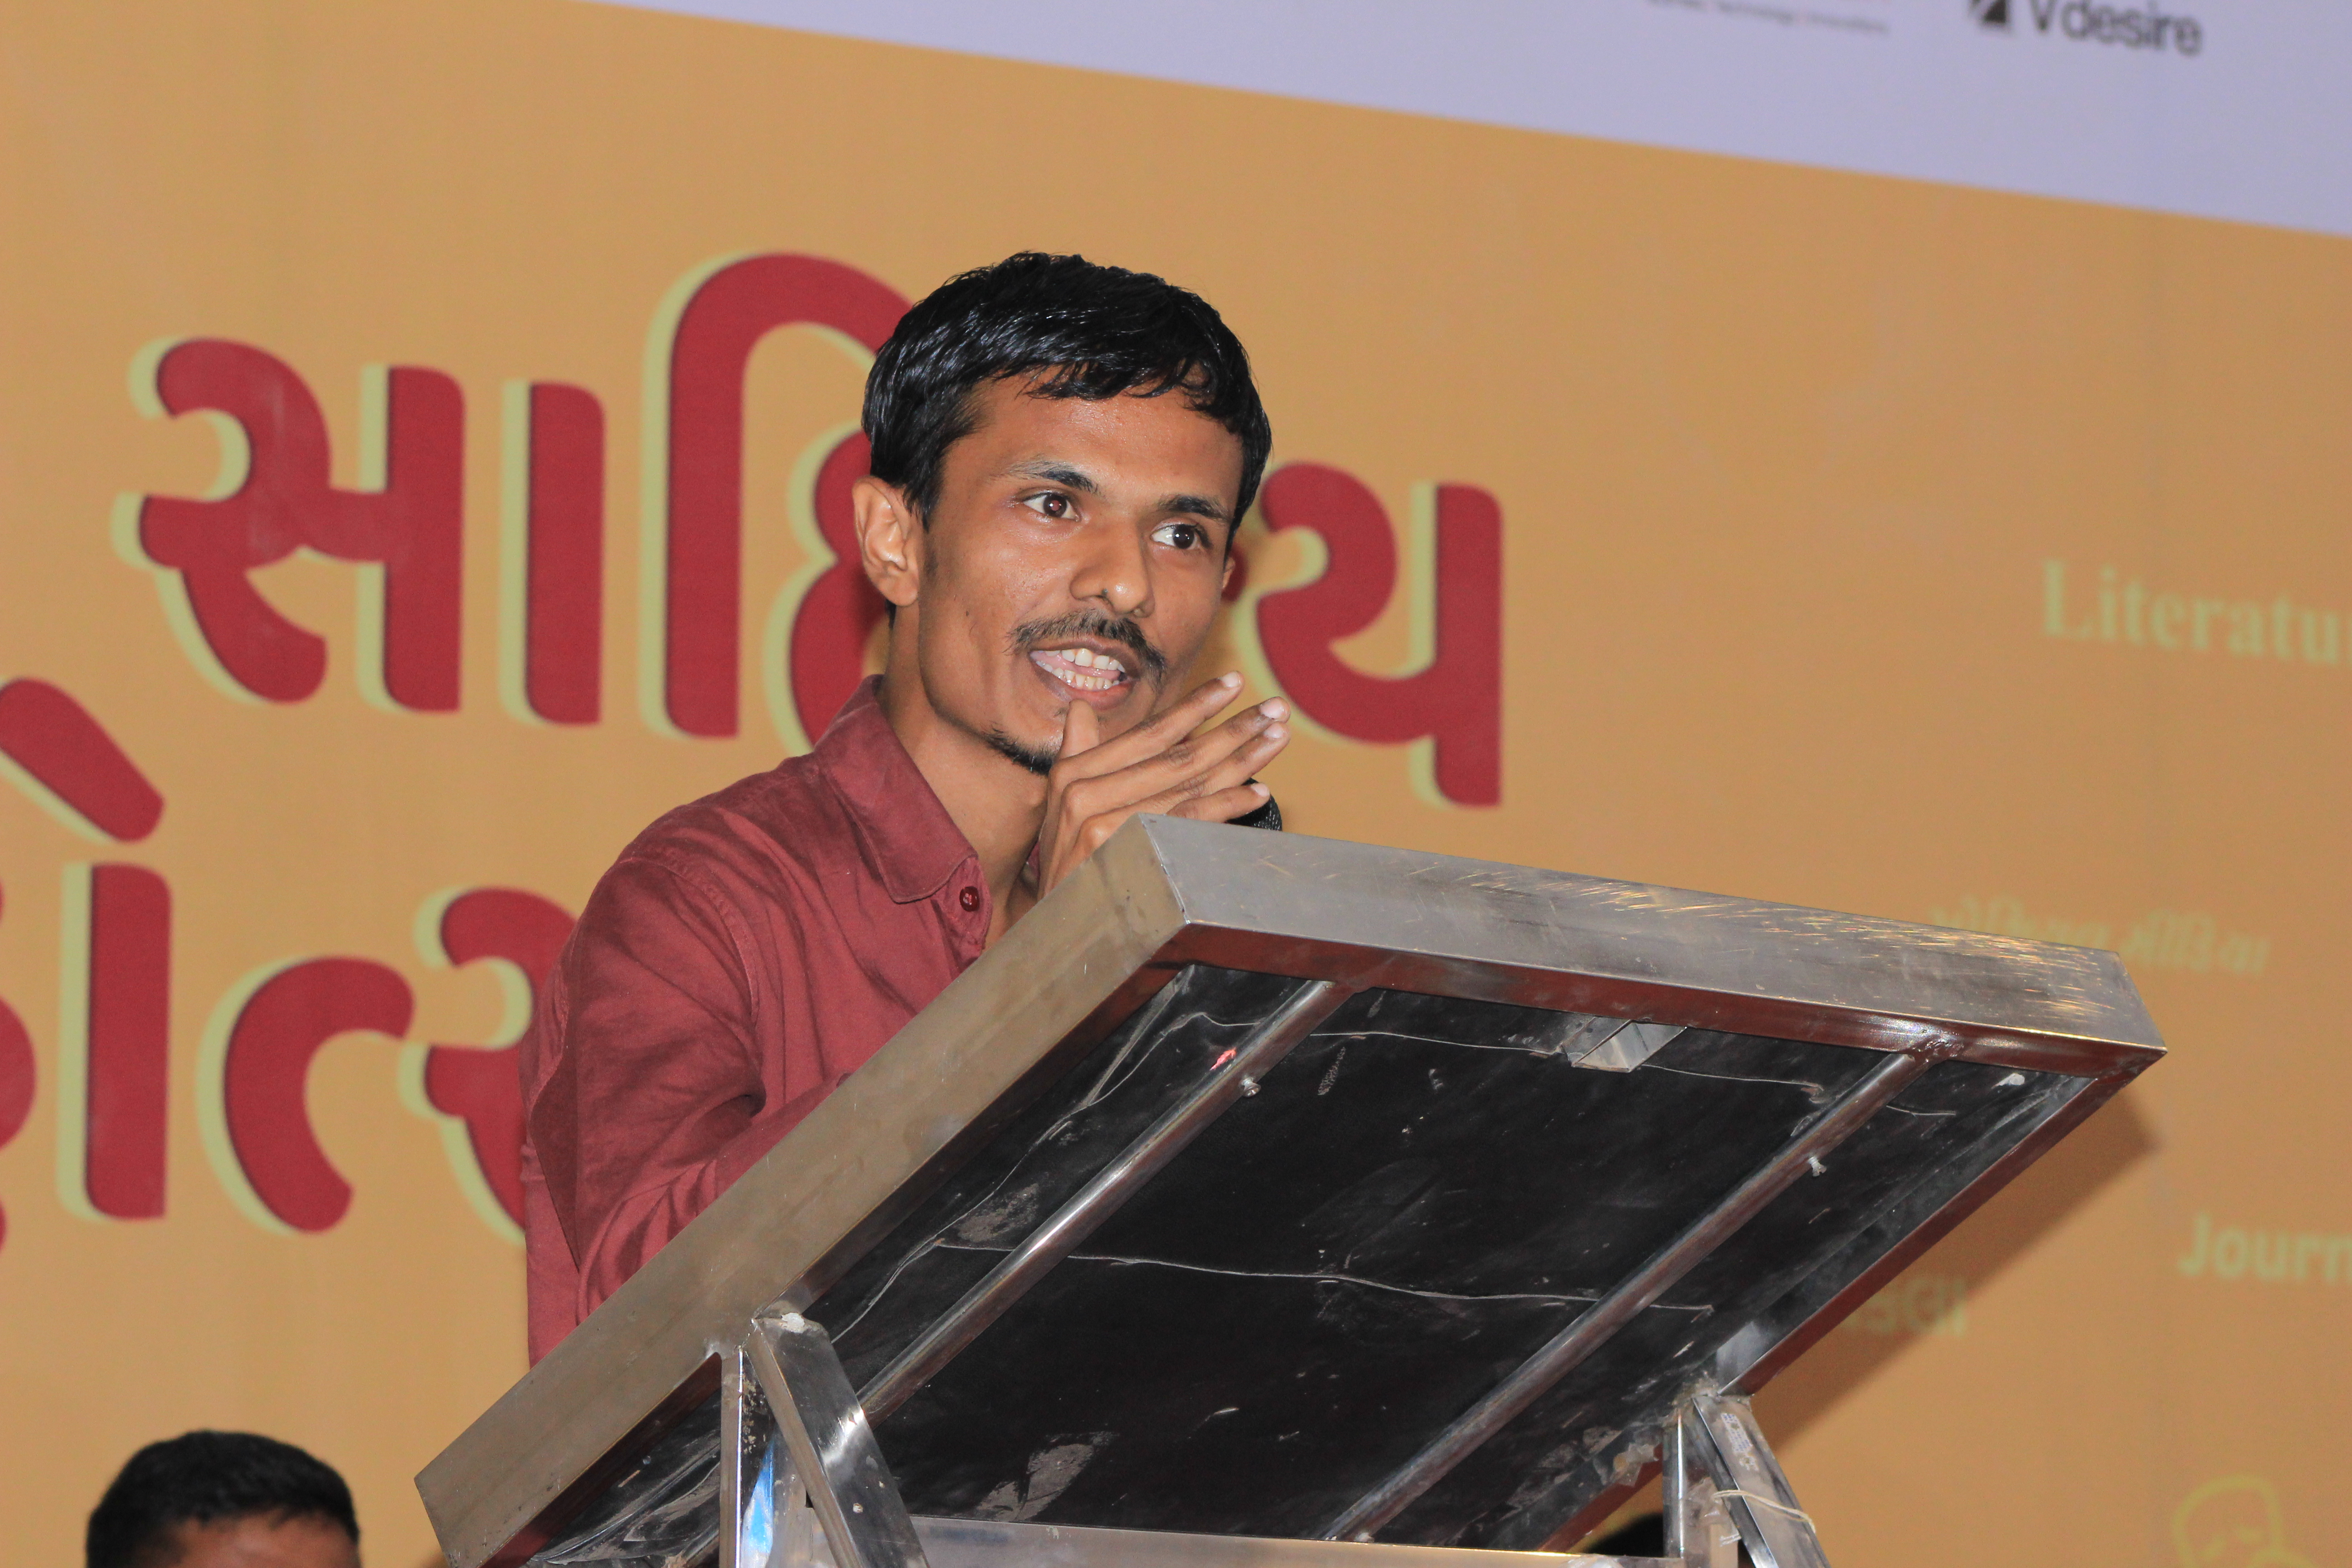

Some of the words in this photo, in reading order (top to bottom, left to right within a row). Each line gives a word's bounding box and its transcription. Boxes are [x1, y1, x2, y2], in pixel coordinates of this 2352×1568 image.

[93, 238, 920, 751] સા
[1233, 457, 1518, 818] ય